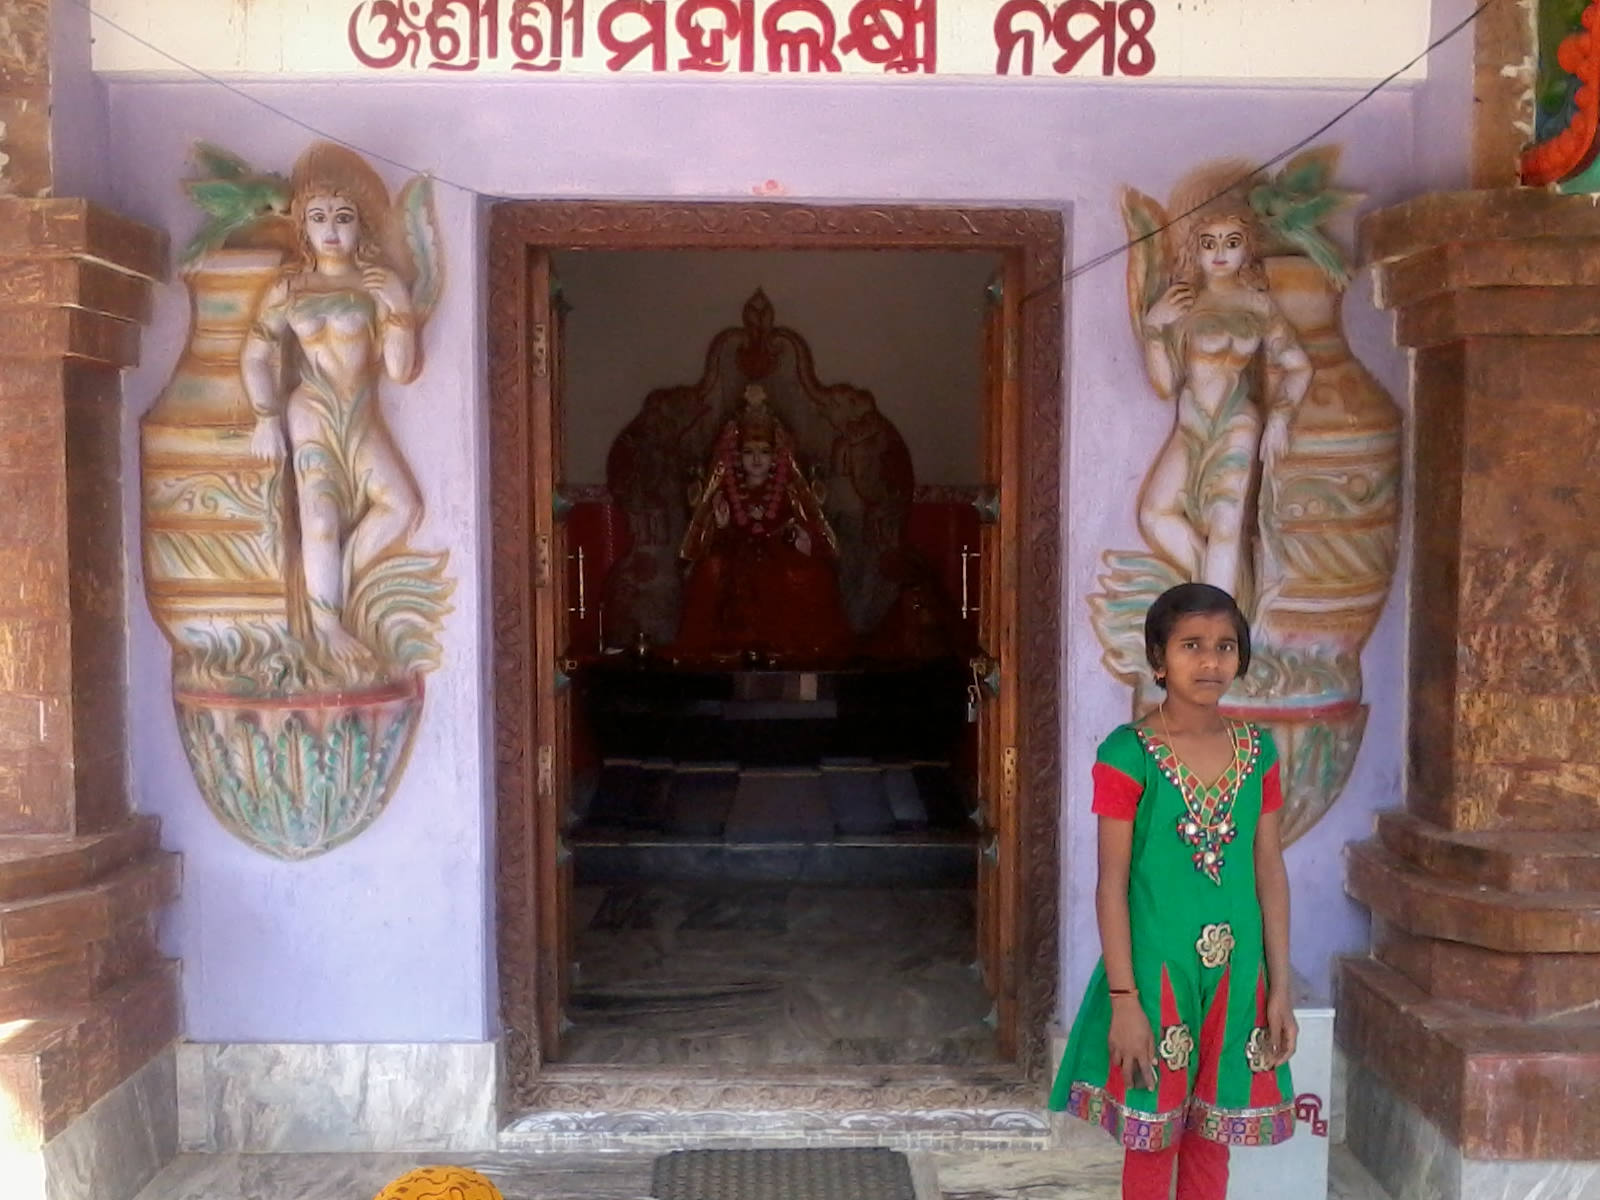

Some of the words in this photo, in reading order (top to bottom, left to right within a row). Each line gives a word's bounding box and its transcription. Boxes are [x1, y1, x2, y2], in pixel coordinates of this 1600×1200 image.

[337, 1, 588, 80] ଓଶ୍ରୀଶ୍ରୀ
[595, 0, 944, 79] ମହାଲକ୍ଷ୍ମୀ
[992, 0, 1162, 80] ନମଃ